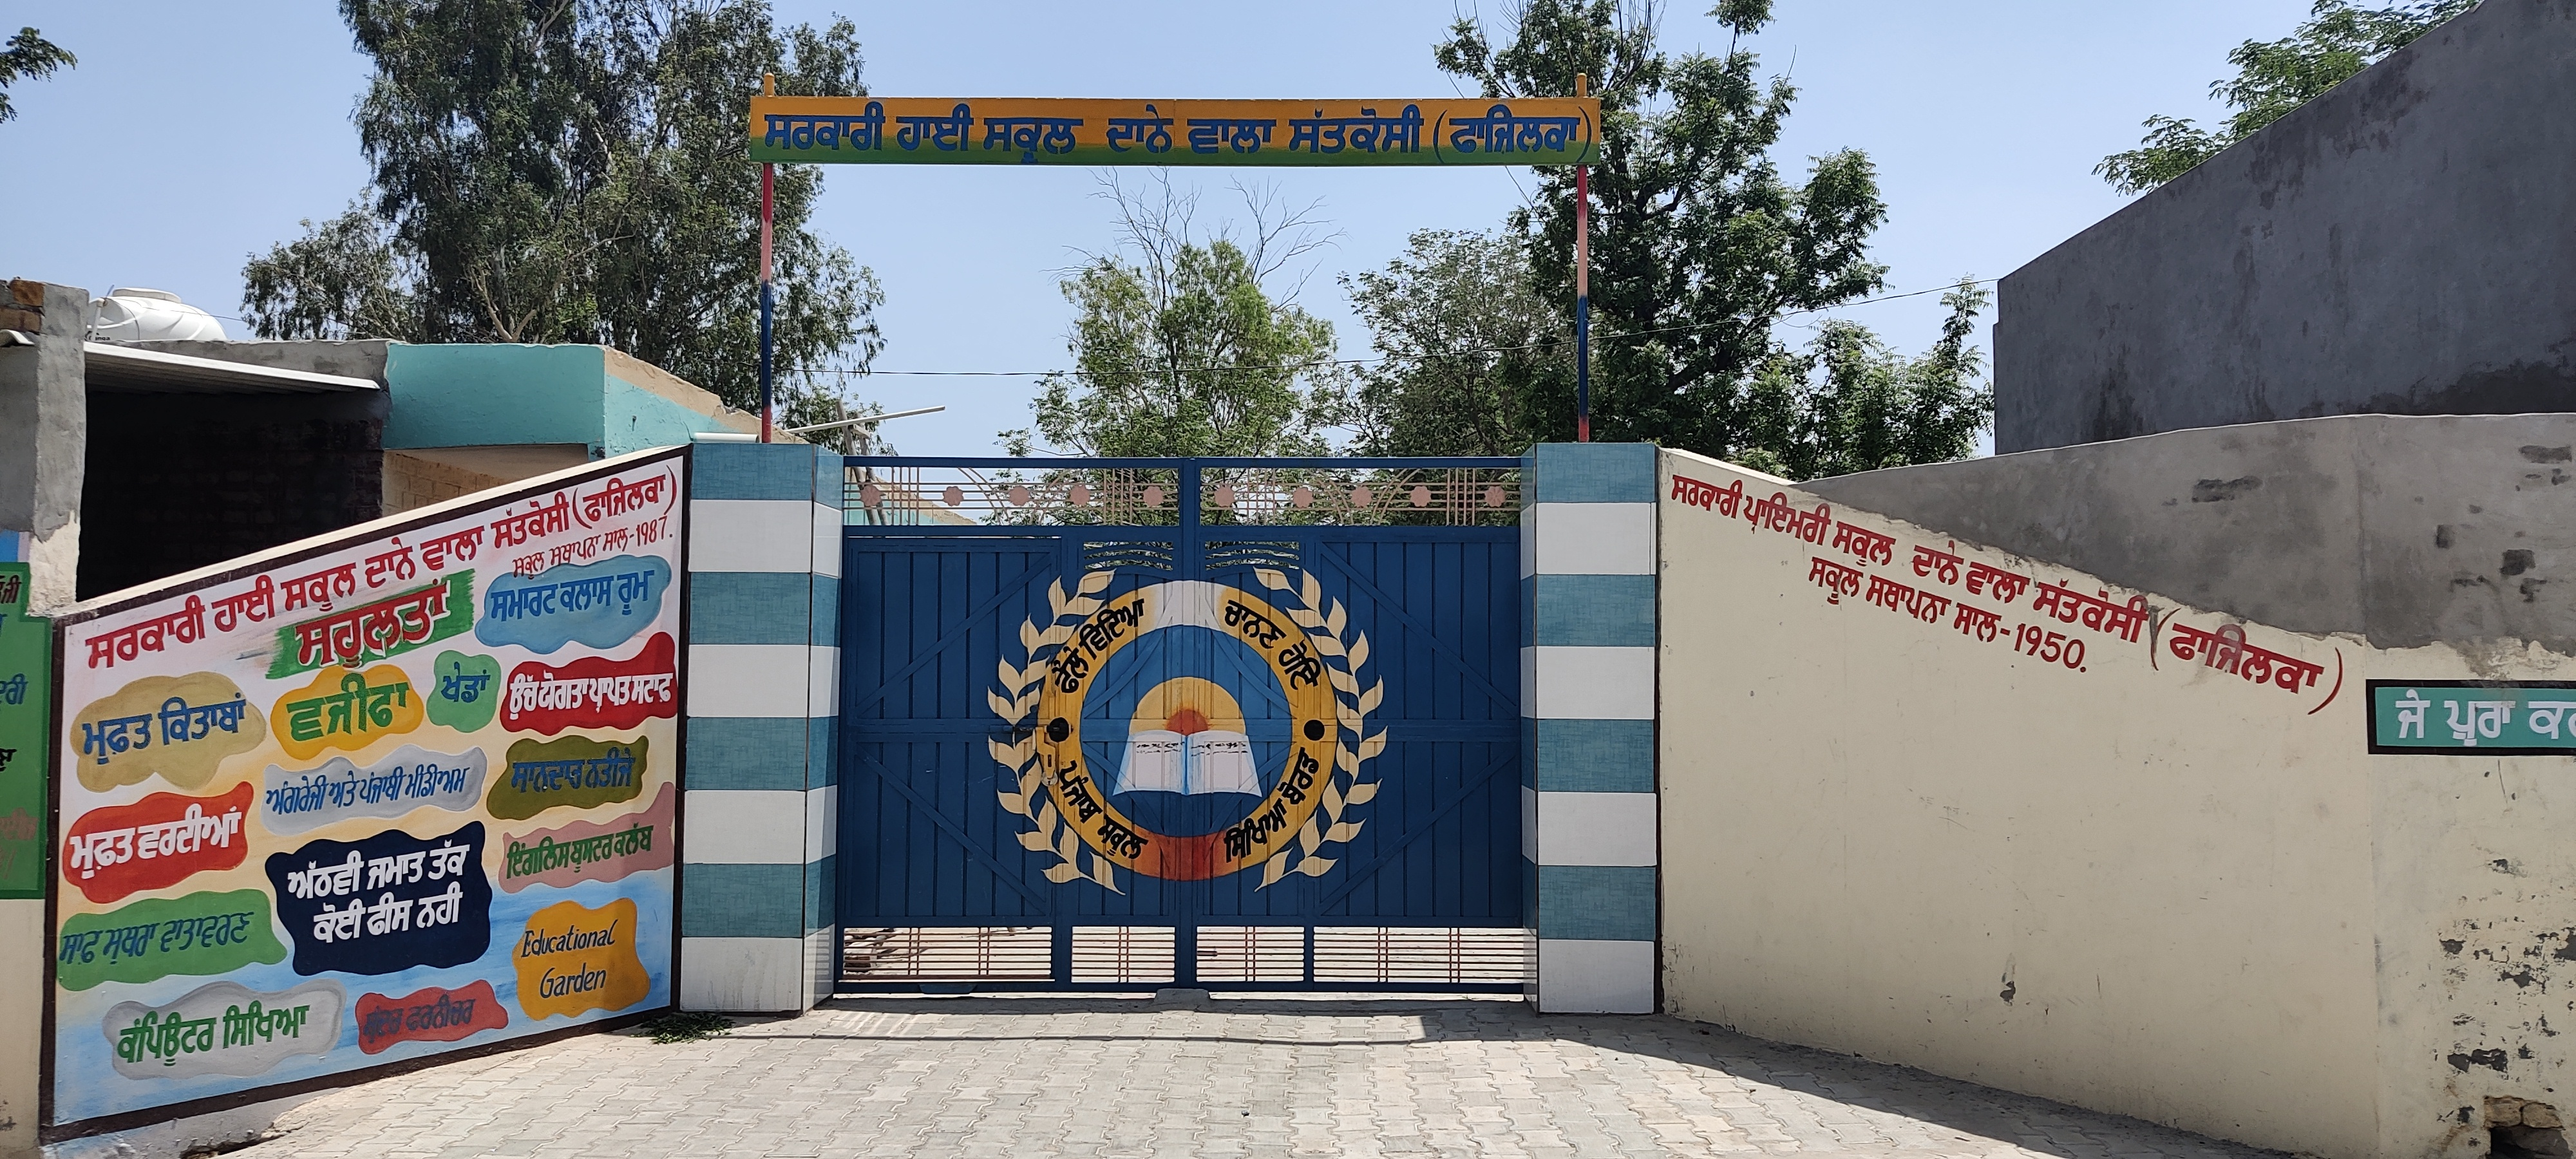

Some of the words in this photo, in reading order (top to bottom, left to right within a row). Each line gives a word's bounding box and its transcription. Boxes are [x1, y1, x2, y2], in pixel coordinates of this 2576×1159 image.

[758, 99, 891, 159] ਸਰਕਾਰੀ
[891, 99, 979, 162] ਹਾਈ
[976, 109, 1089, 165] ਸਕੂਲ
[1098, 99, 1182, 162] ਦਾਨੇ
[1180, 112, 1282, 159] ਵਾਲਾ
[1279, 100, 1430, 158] ਸੱਤਕੋਸੀ
[1441, 99, 1588, 161] ਫਾਜਿਲਕ
[1, 570, 26, 608] ਜੀ
[4, 666, 32, 710] ਰੀ
[75, 701, 156, 771] ਮਫ਼ਤ
[80, 590, 209, 680] ਸਰਕਾਰੀ
[152, 686, 256, 758] ਕਿਤਾਬਾਂ
[208, 569, 282, 639] ਹਾਈ
[276, 554, 361, 617] ਸਕੂਲ
[279, 669, 420, 752] ਵਜੀਫਾ
[284, 572, 461, 672] ਸਹੂਲਤਾਂ
[359, 531, 422, 594] ਦਾਨੇ
[415, 516, 489, 574] ਵਾਲਾ
[435, 658, 502, 708] ਖੇਡਾਂ
[504, 667, 540, 723] ਉੱਚ
[488, 579, 560, 628] ਸਮਾਰਟ
[506, 545, 548, 584] ਸਕੂਲ
[486, 488, 574, 554] ਸਤਕੇਸੀ
[536, 666, 589, 711] ਯੋਗਤਾ
[545, 527, 601, 569] ਸਥਾਪਨਾ
[559, 569, 615, 621] ਕਲਾਸ
[584, 670, 632, 714] ਪਾਪਤ
[578, 467, 672, 524] ਫਾਜ਼ਿਲਕਾ
[614, 564, 658, 619] ਰੂਮ
[600, 512, 673, 556] ਸਾਲ-1987
[630, 668, 676, 708] ਸਟਾਫ਼
[1045, 637, 1092, 705] ਫੈਲੇ
[1072, 592, 1150, 668] ਵਿਦਿਆ
[1217, 590, 1291, 662] ਚਾਨਣ
[1270, 630, 1325, 696] ਹੋਇ
[1663, 467, 1750, 531] ਸਰਕਾਰੀ
[1738, 484, 1837, 554] ਪਾਇਮਰੀ
[1799, 552, 1866, 614] ਸਕੂਲ
[1826, 514, 1902, 569] ਸਕੂਲ
[1860, 569, 1955, 634] ਸਥਾਪਨਾ
[1905, 534, 1969, 596] ਦਾਨੇ
[1961, 556, 2036, 614] ਵਾਲਾ
[1946, 595, 2093, 678] ਸਾਲ-1950.
[2025, 569, 2161, 653] ਸੱਤਕੋਸੀ
[2159, 615, 2331, 711] ਫਾਜ਼ਿਲਕਾ
[2387, 686, 2438, 749] ਜੇ
[2436, 684, 2522, 748] ਪੁਰਾ
[2521, 686, 2572, 748] ਕ
[261, 769, 330, 818] ਅੰਗਰੇਜੀ
[325, 765, 360, 813] ਅਤੇ
[356, 759, 407, 807] ਪੰਜਾਬੀ
[401, 757, 475, 802] ਮੀਡੀਅਮ
[498, 752, 587, 796] ਸਾਨਦਾਰ
[582, 742, 641, 796] ਨਤੀਜੇ
[1048, 756, 1106, 827] ਪੰਜਾਬ
[1275, 742, 1326, 816] ਬੋਰਡ
[63, 818, 137, 887] ਮੁਫ਼ਤ
[135, 796, 245, 863] ਵਰਦੀਆਂ
[281, 843, 365, 903] ਅੱਠਵੀ
[361, 845, 428, 896] ਜਮਾਤ
[423, 834, 475, 885] ਤੱਕ
[499, 832, 573, 883] ਇੰਗਲਿਸ
[569, 829, 615, 876] ਬੂਸਟਰ
[614, 819, 656, 863] ਕਲੱਬ
[1084, 811, 1151, 863] ਸਕੂਲ
[1218, 793, 1298, 871] ਸਿਖਿਆ
[55, 919, 104, 971] ਸਾਫ਼
[98, 915, 164, 971] ਸਥਰਾ
[155, 906, 263, 961] ਵਾਤਾਵਰਣ
[303, 894, 368, 950] ਕੋਈ
[363, 887, 417, 943] ਫੀਸ
[413, 877, 471, 939] ਨਹੀ
[516, 914, 625, 963] Educational
[532, 959, 612, 1004] Garden
[109, 1002, 222, 1073] ਕੰਪਿਊਟਰ
[216, 996, 317, 1059] ਸਿਖਿਆ
[404, 992, 480, 1036] ਫਰਨੀਚਰ